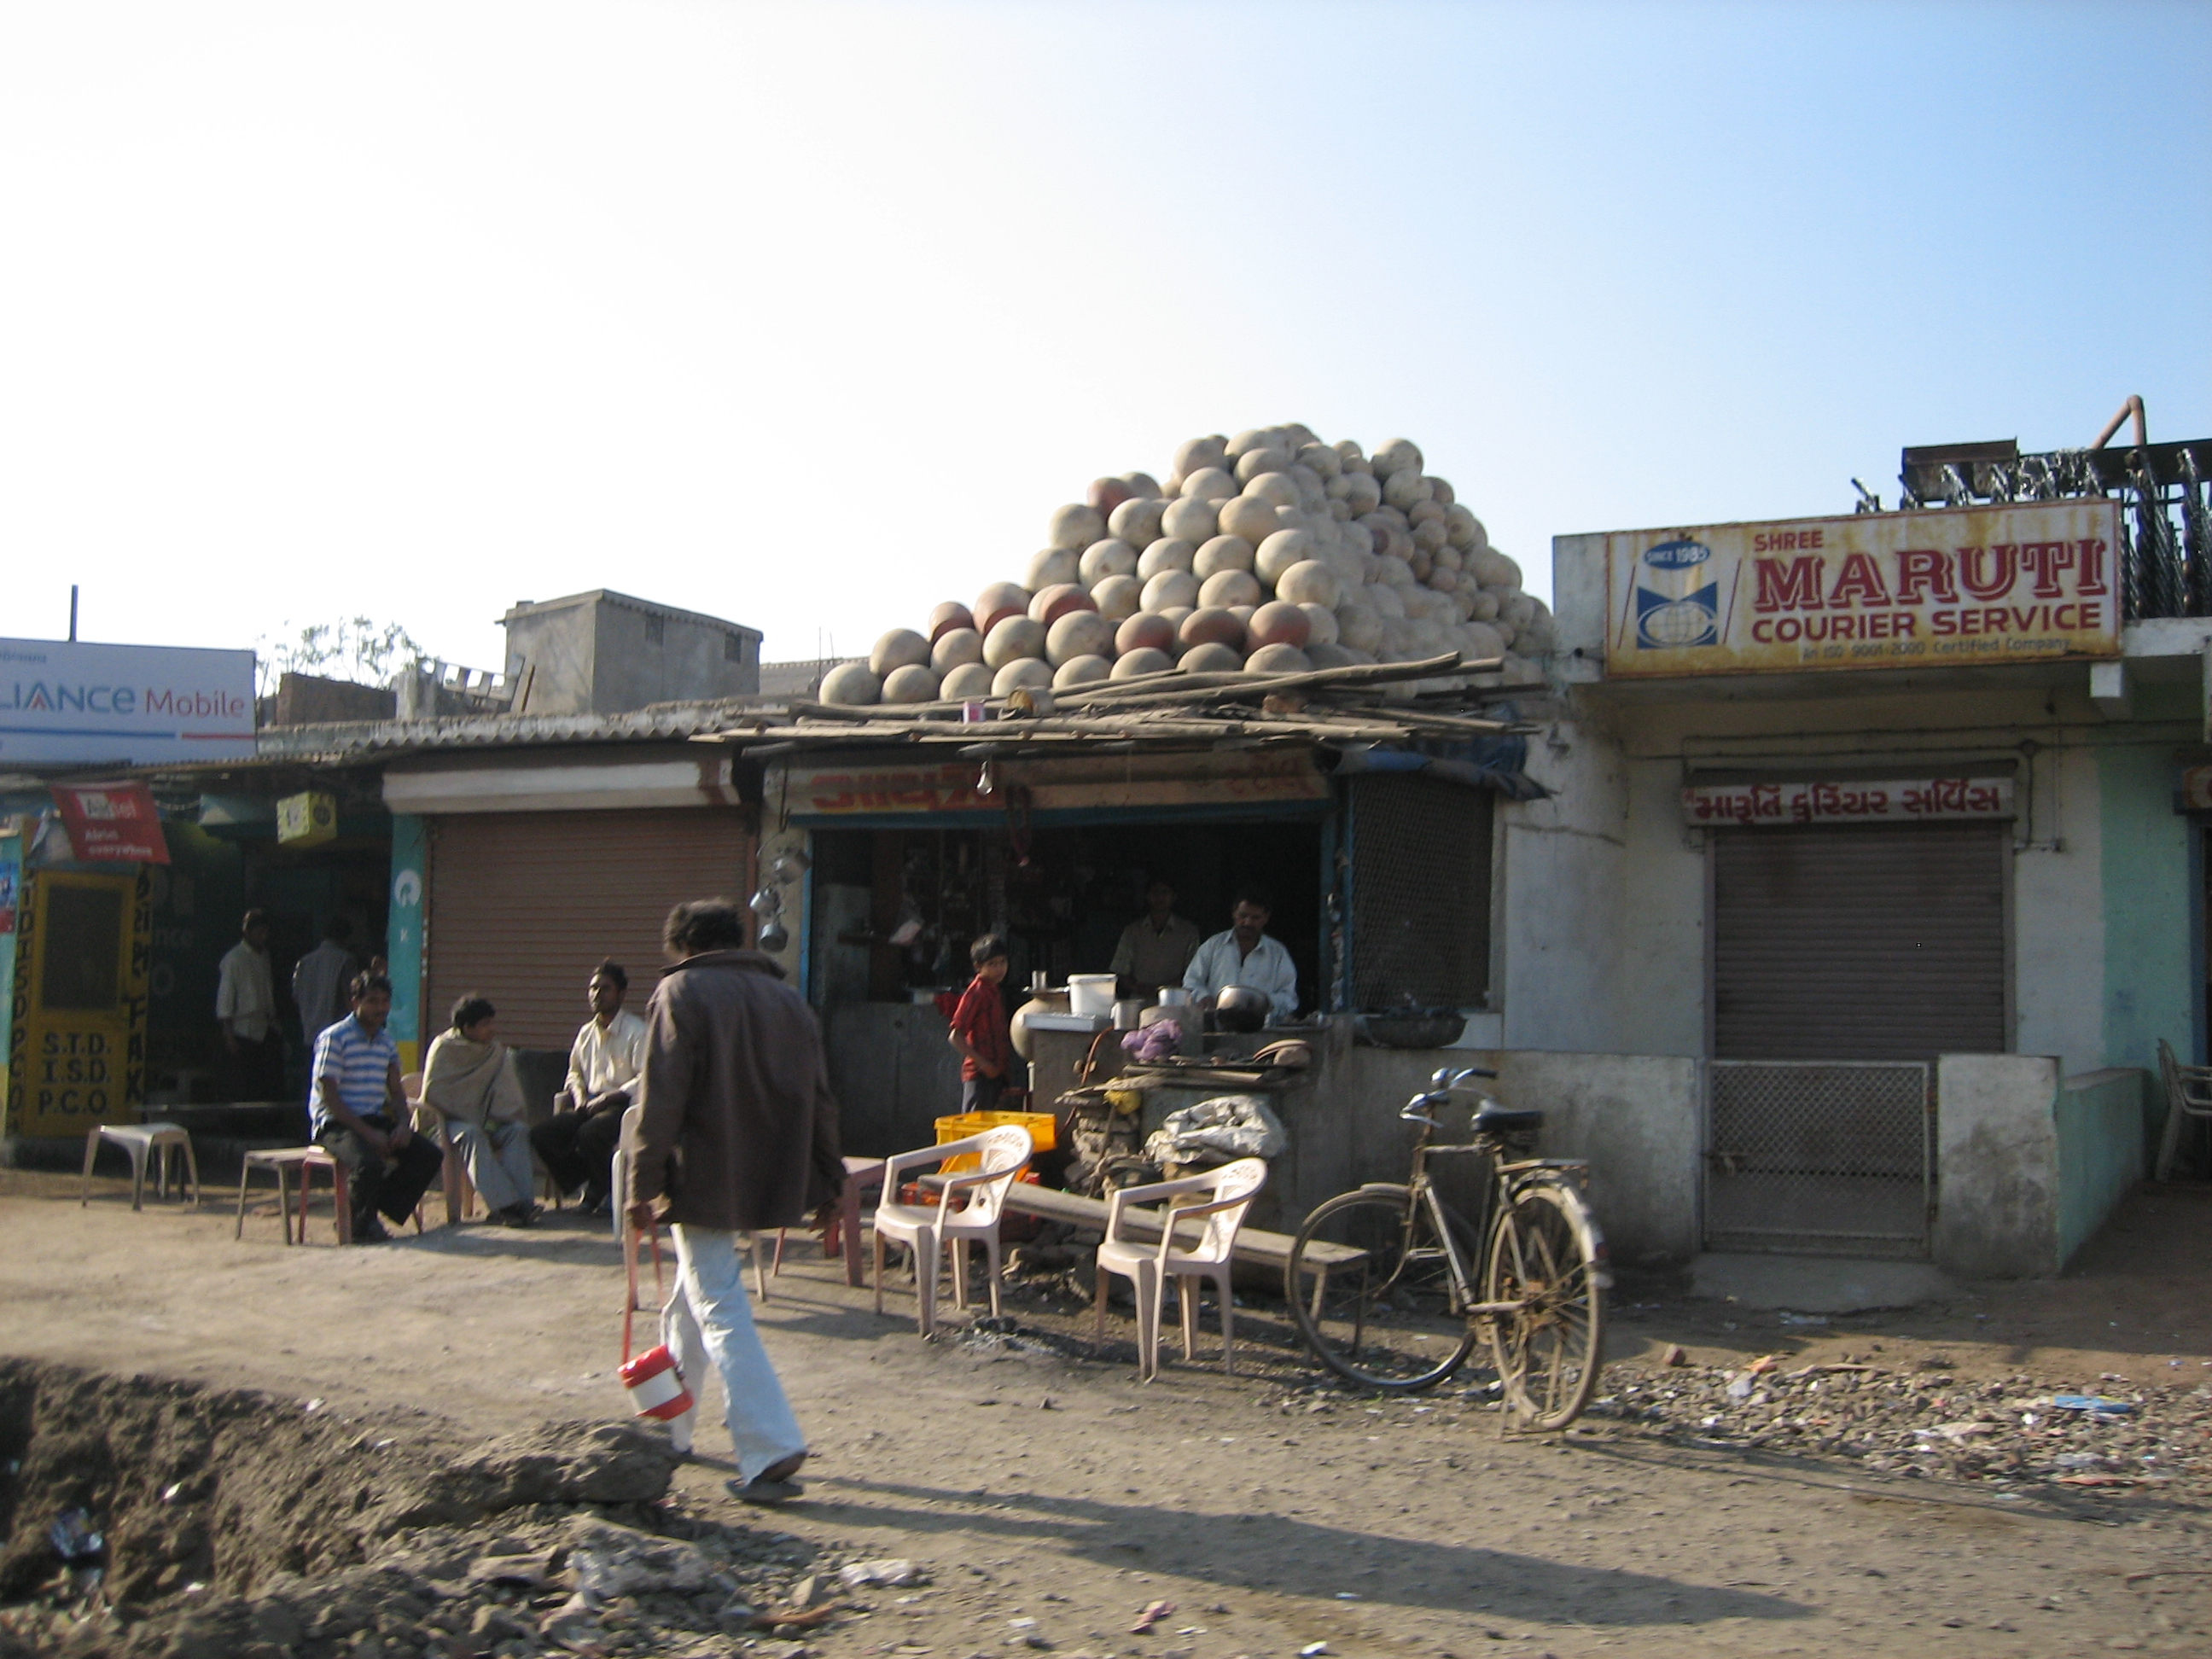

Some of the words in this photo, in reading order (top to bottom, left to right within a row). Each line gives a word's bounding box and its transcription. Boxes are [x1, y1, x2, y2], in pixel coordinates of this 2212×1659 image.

[1755, 541, 2105, 608] MARUTI
[1749, 607, 1915, 644] COURIER
[1927, 597, 2103, 640] SERVICE
[9, 683, 136, 717] IANCE
[141, 688, 234, 721] Mobile
[1691, 789, 1755, 820] મા३
[1795, 780, 1884, 818] કુરિયર
[1904, 766, 2011, 823] સર્વિસ